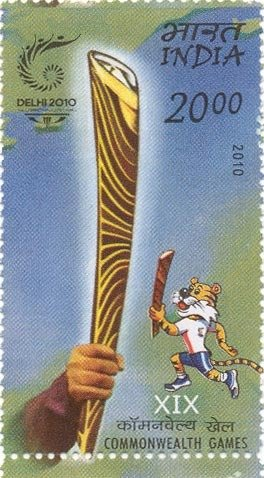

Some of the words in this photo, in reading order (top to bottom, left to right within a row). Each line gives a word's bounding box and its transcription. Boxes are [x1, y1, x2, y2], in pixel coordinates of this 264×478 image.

[156, 18, 249, 45] भारत
[158, 45, 244, 69] INDIA
[15, 96, 76, 109] DELHI2010
[162, 85, 244, 126] 2000
[230, 143, 246, 179] 2010
[149, 392, 202, 417] XIX
[113, 411, 201, 433] कॉमनवेल्थ
[202, 413, 240, 434] खेल
[101, 434, 205, 453] COMMONWEALTH
[204, 434, 251, 453] GAMES